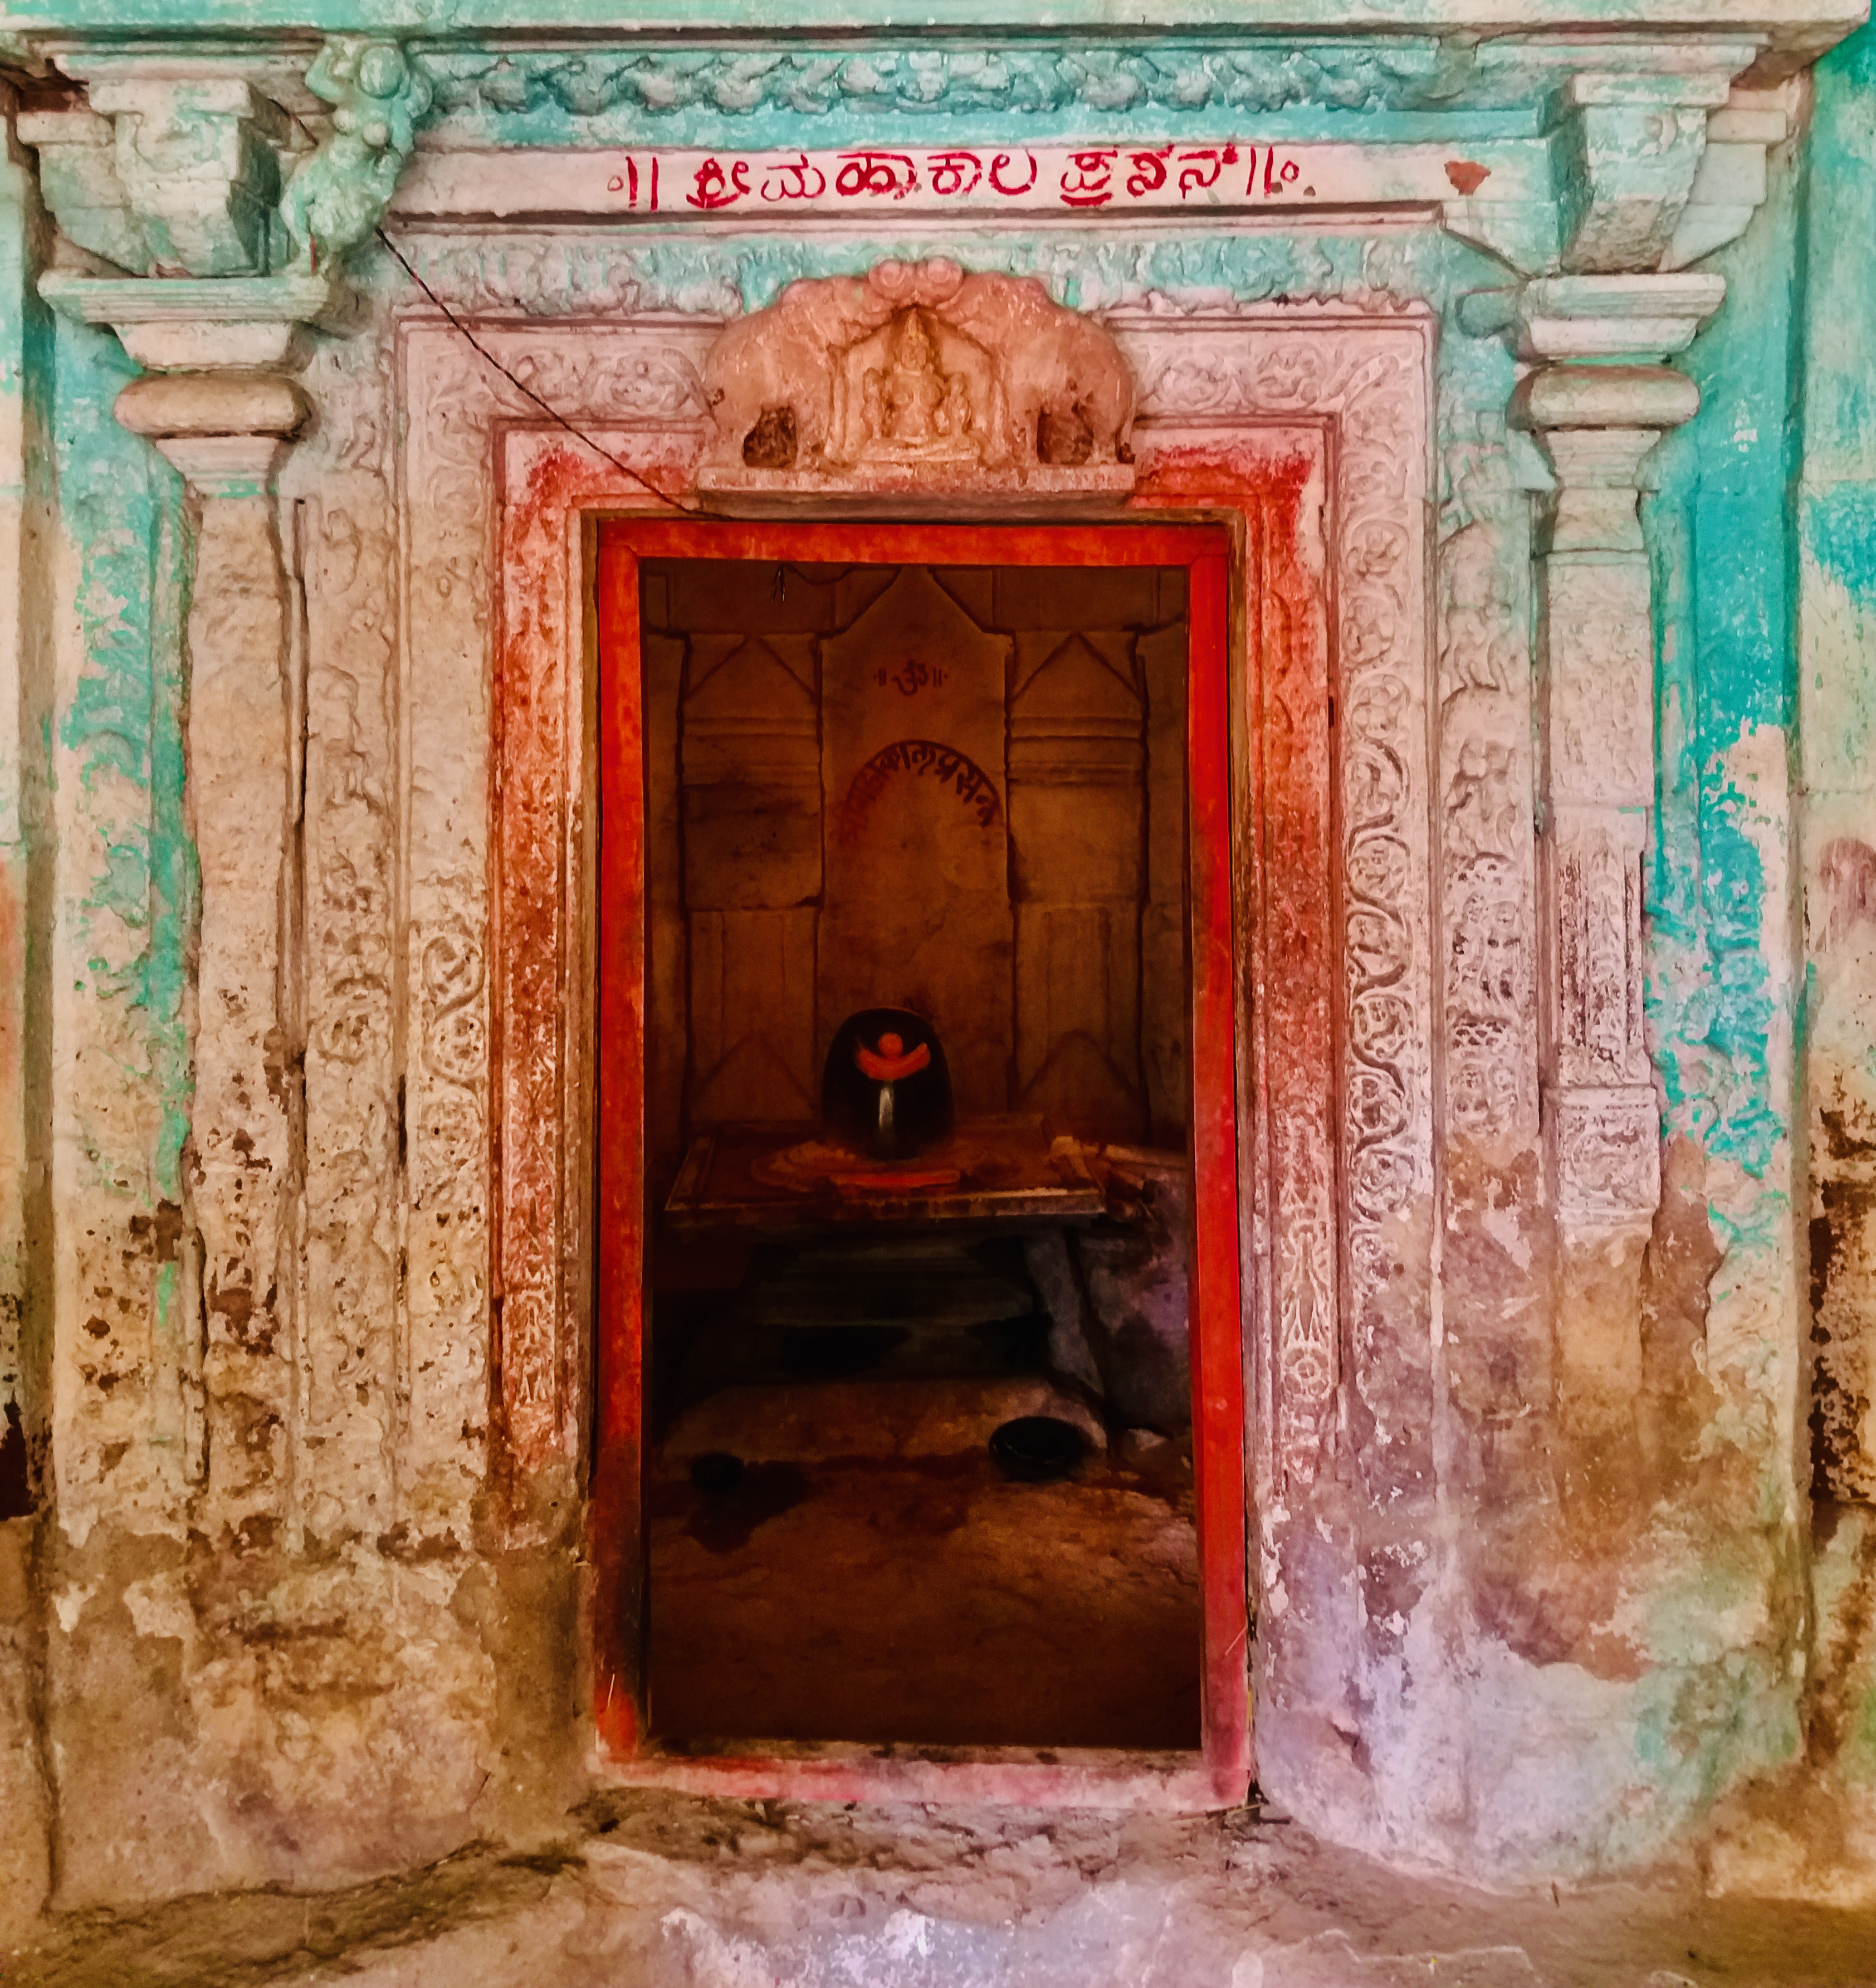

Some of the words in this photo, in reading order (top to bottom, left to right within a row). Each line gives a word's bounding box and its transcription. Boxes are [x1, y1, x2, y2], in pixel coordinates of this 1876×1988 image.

[678, 138, 1047, 215] ಶ್ರೀಮಹಾಕಾಲ
[820, 723, 1012, 853] श्रीमहाकालप्रसन्न